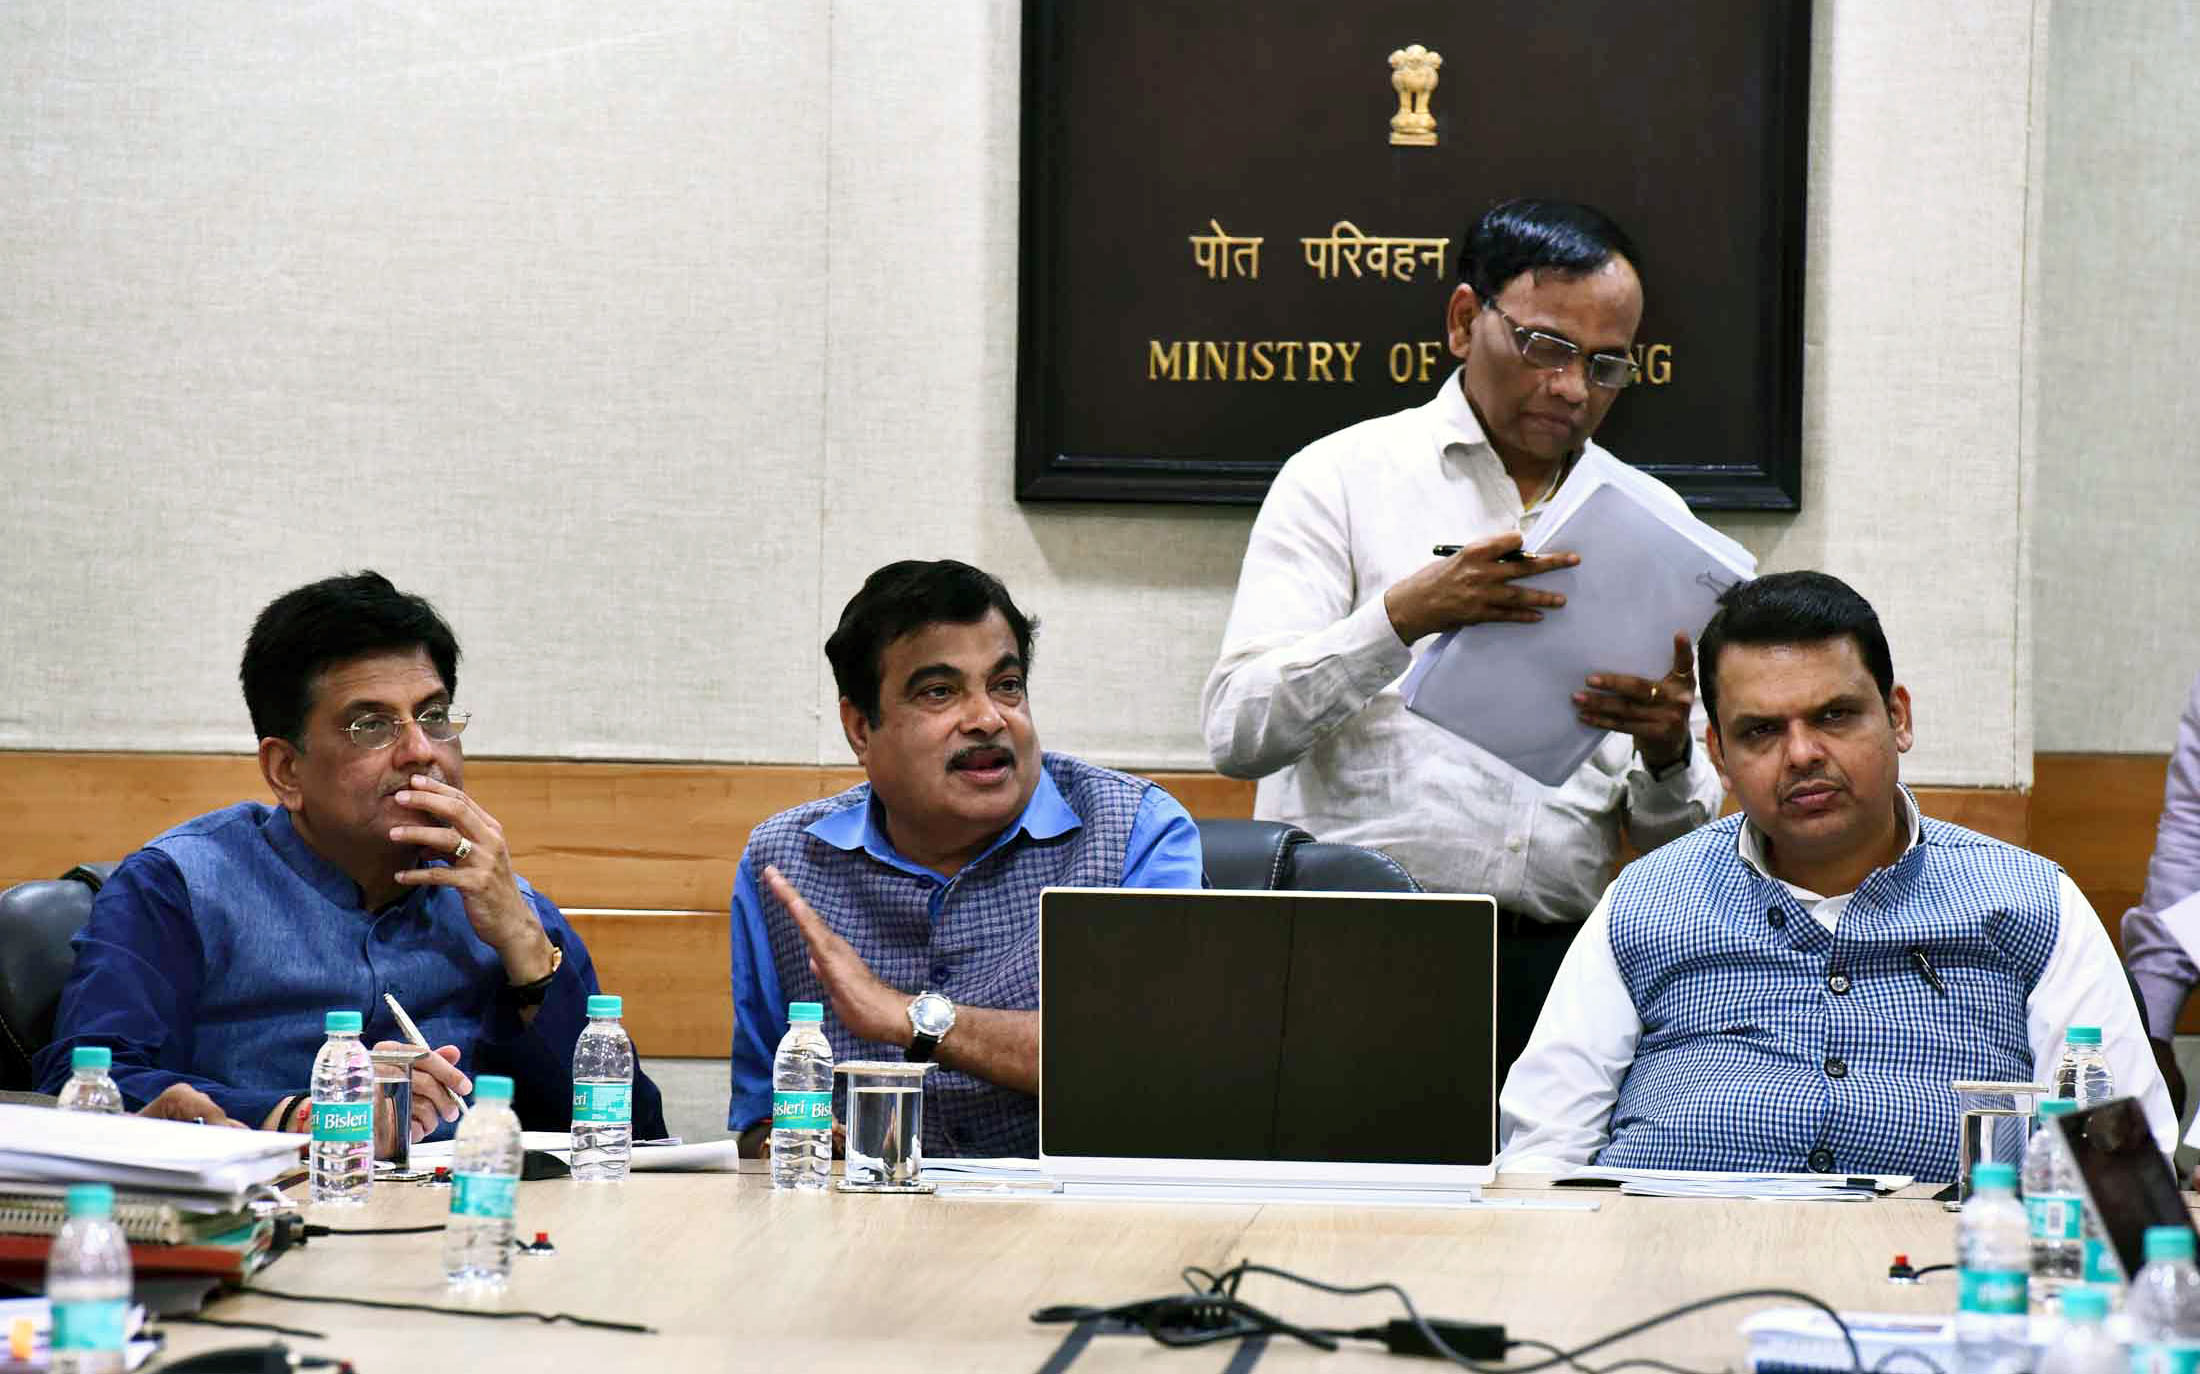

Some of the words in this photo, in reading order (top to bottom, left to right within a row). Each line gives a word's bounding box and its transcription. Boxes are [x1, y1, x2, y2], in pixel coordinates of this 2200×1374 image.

[1180, 211, 1271, 289] पोत
[1295, 212, 1450, 288] परिवहन
[1143, 332, 1364, 389] MINISTRY
[1381, 327, 1451, 396] OF